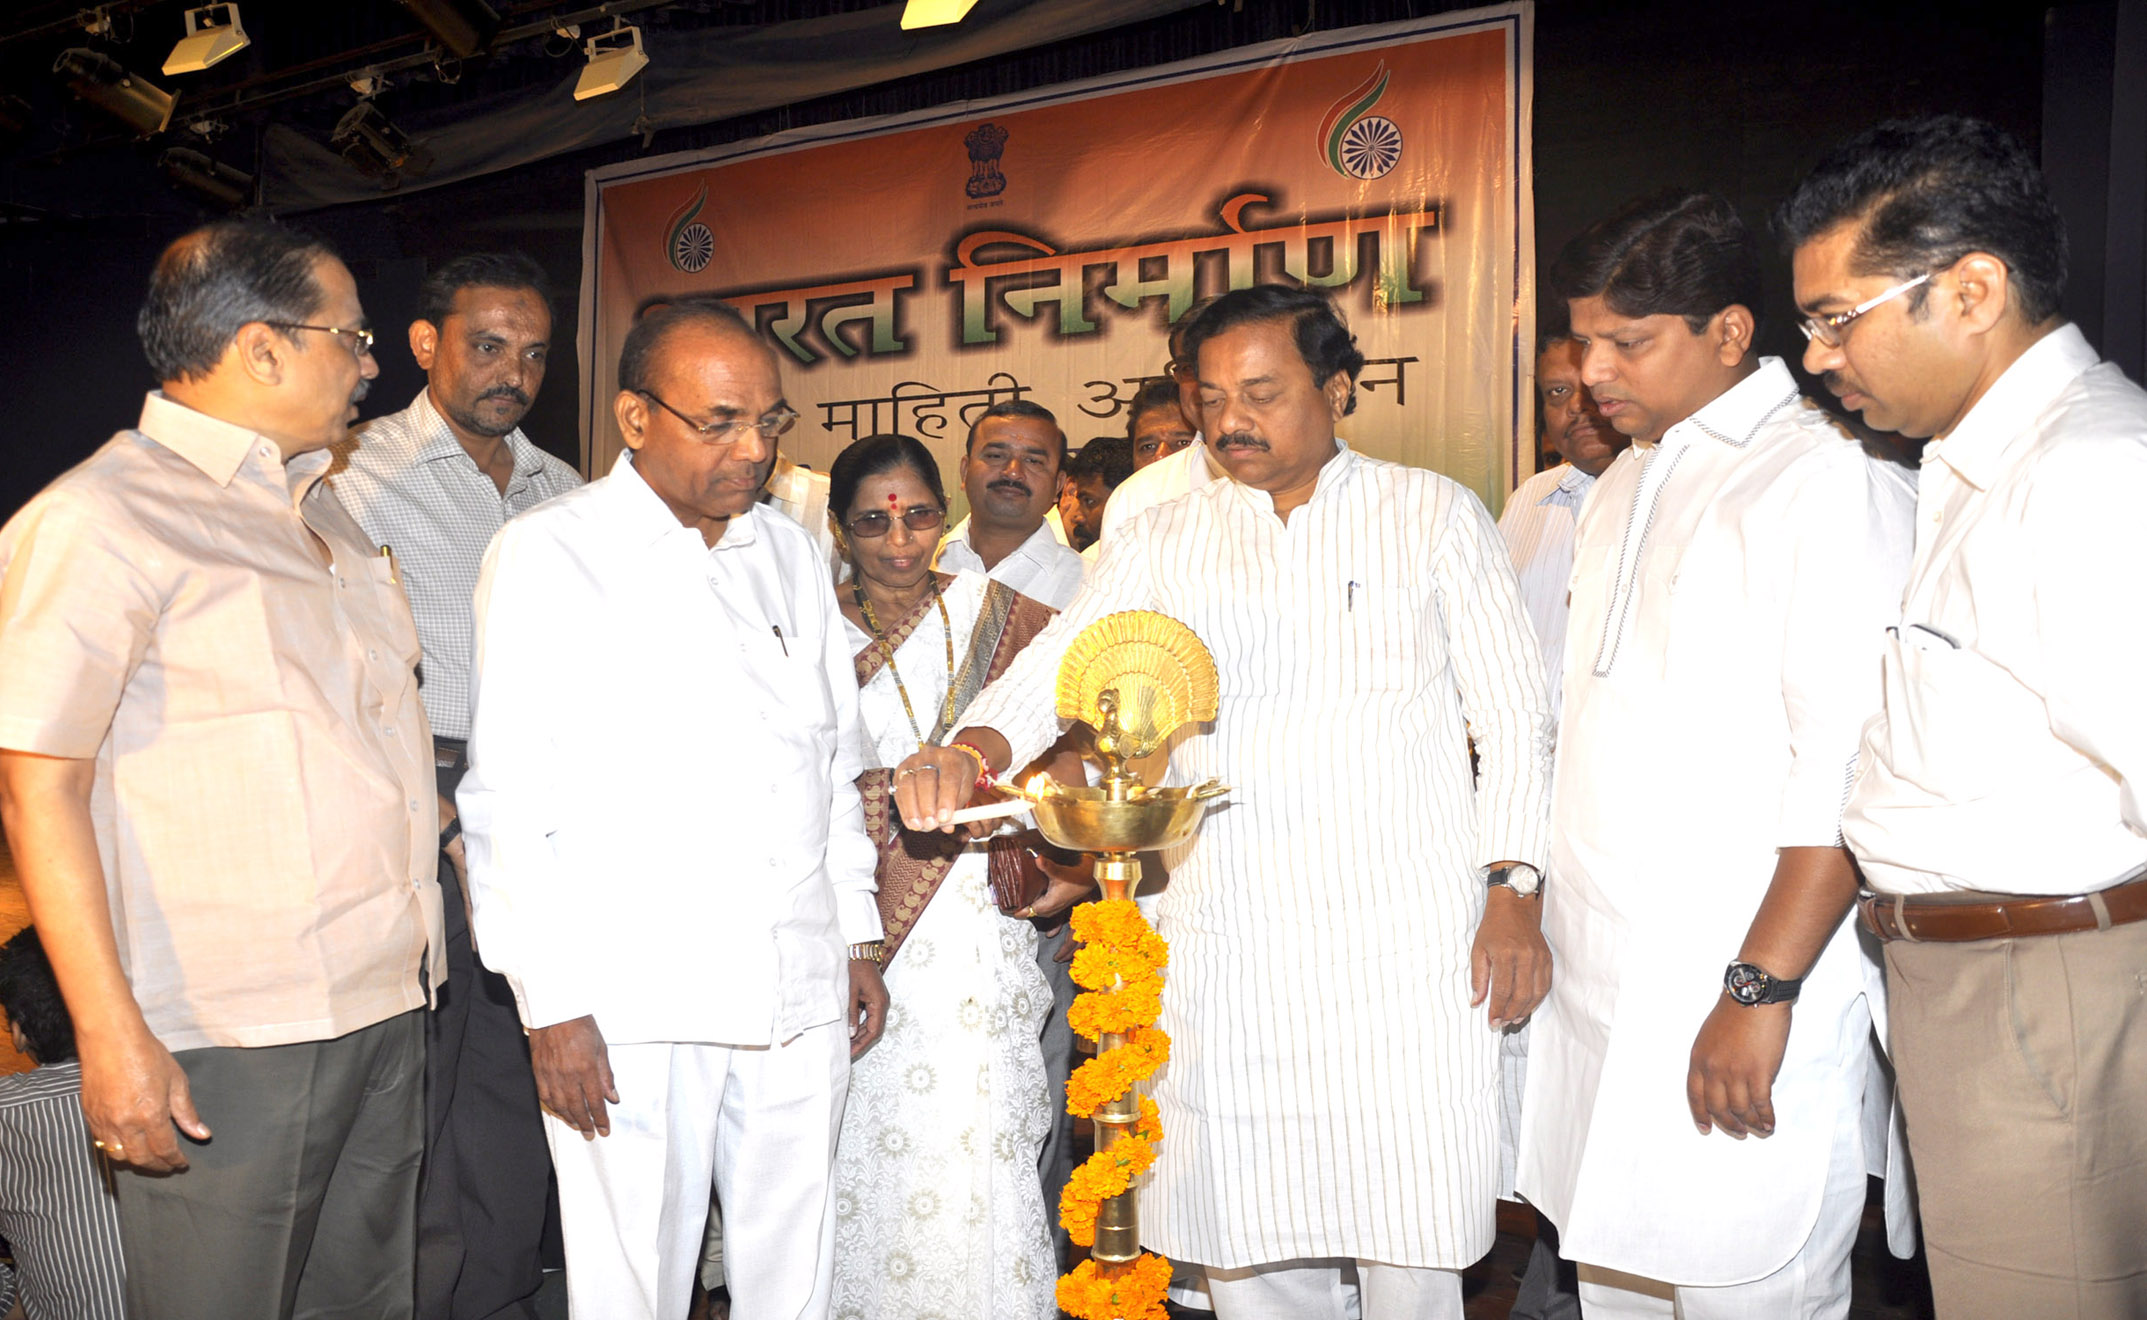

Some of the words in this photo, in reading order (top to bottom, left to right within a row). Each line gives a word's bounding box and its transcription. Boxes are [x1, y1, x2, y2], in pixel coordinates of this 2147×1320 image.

[947, 186, 1435, 347] निर्माण
[745, 269, 917, 371] रत
[814, 367, 1033, 445] माहि